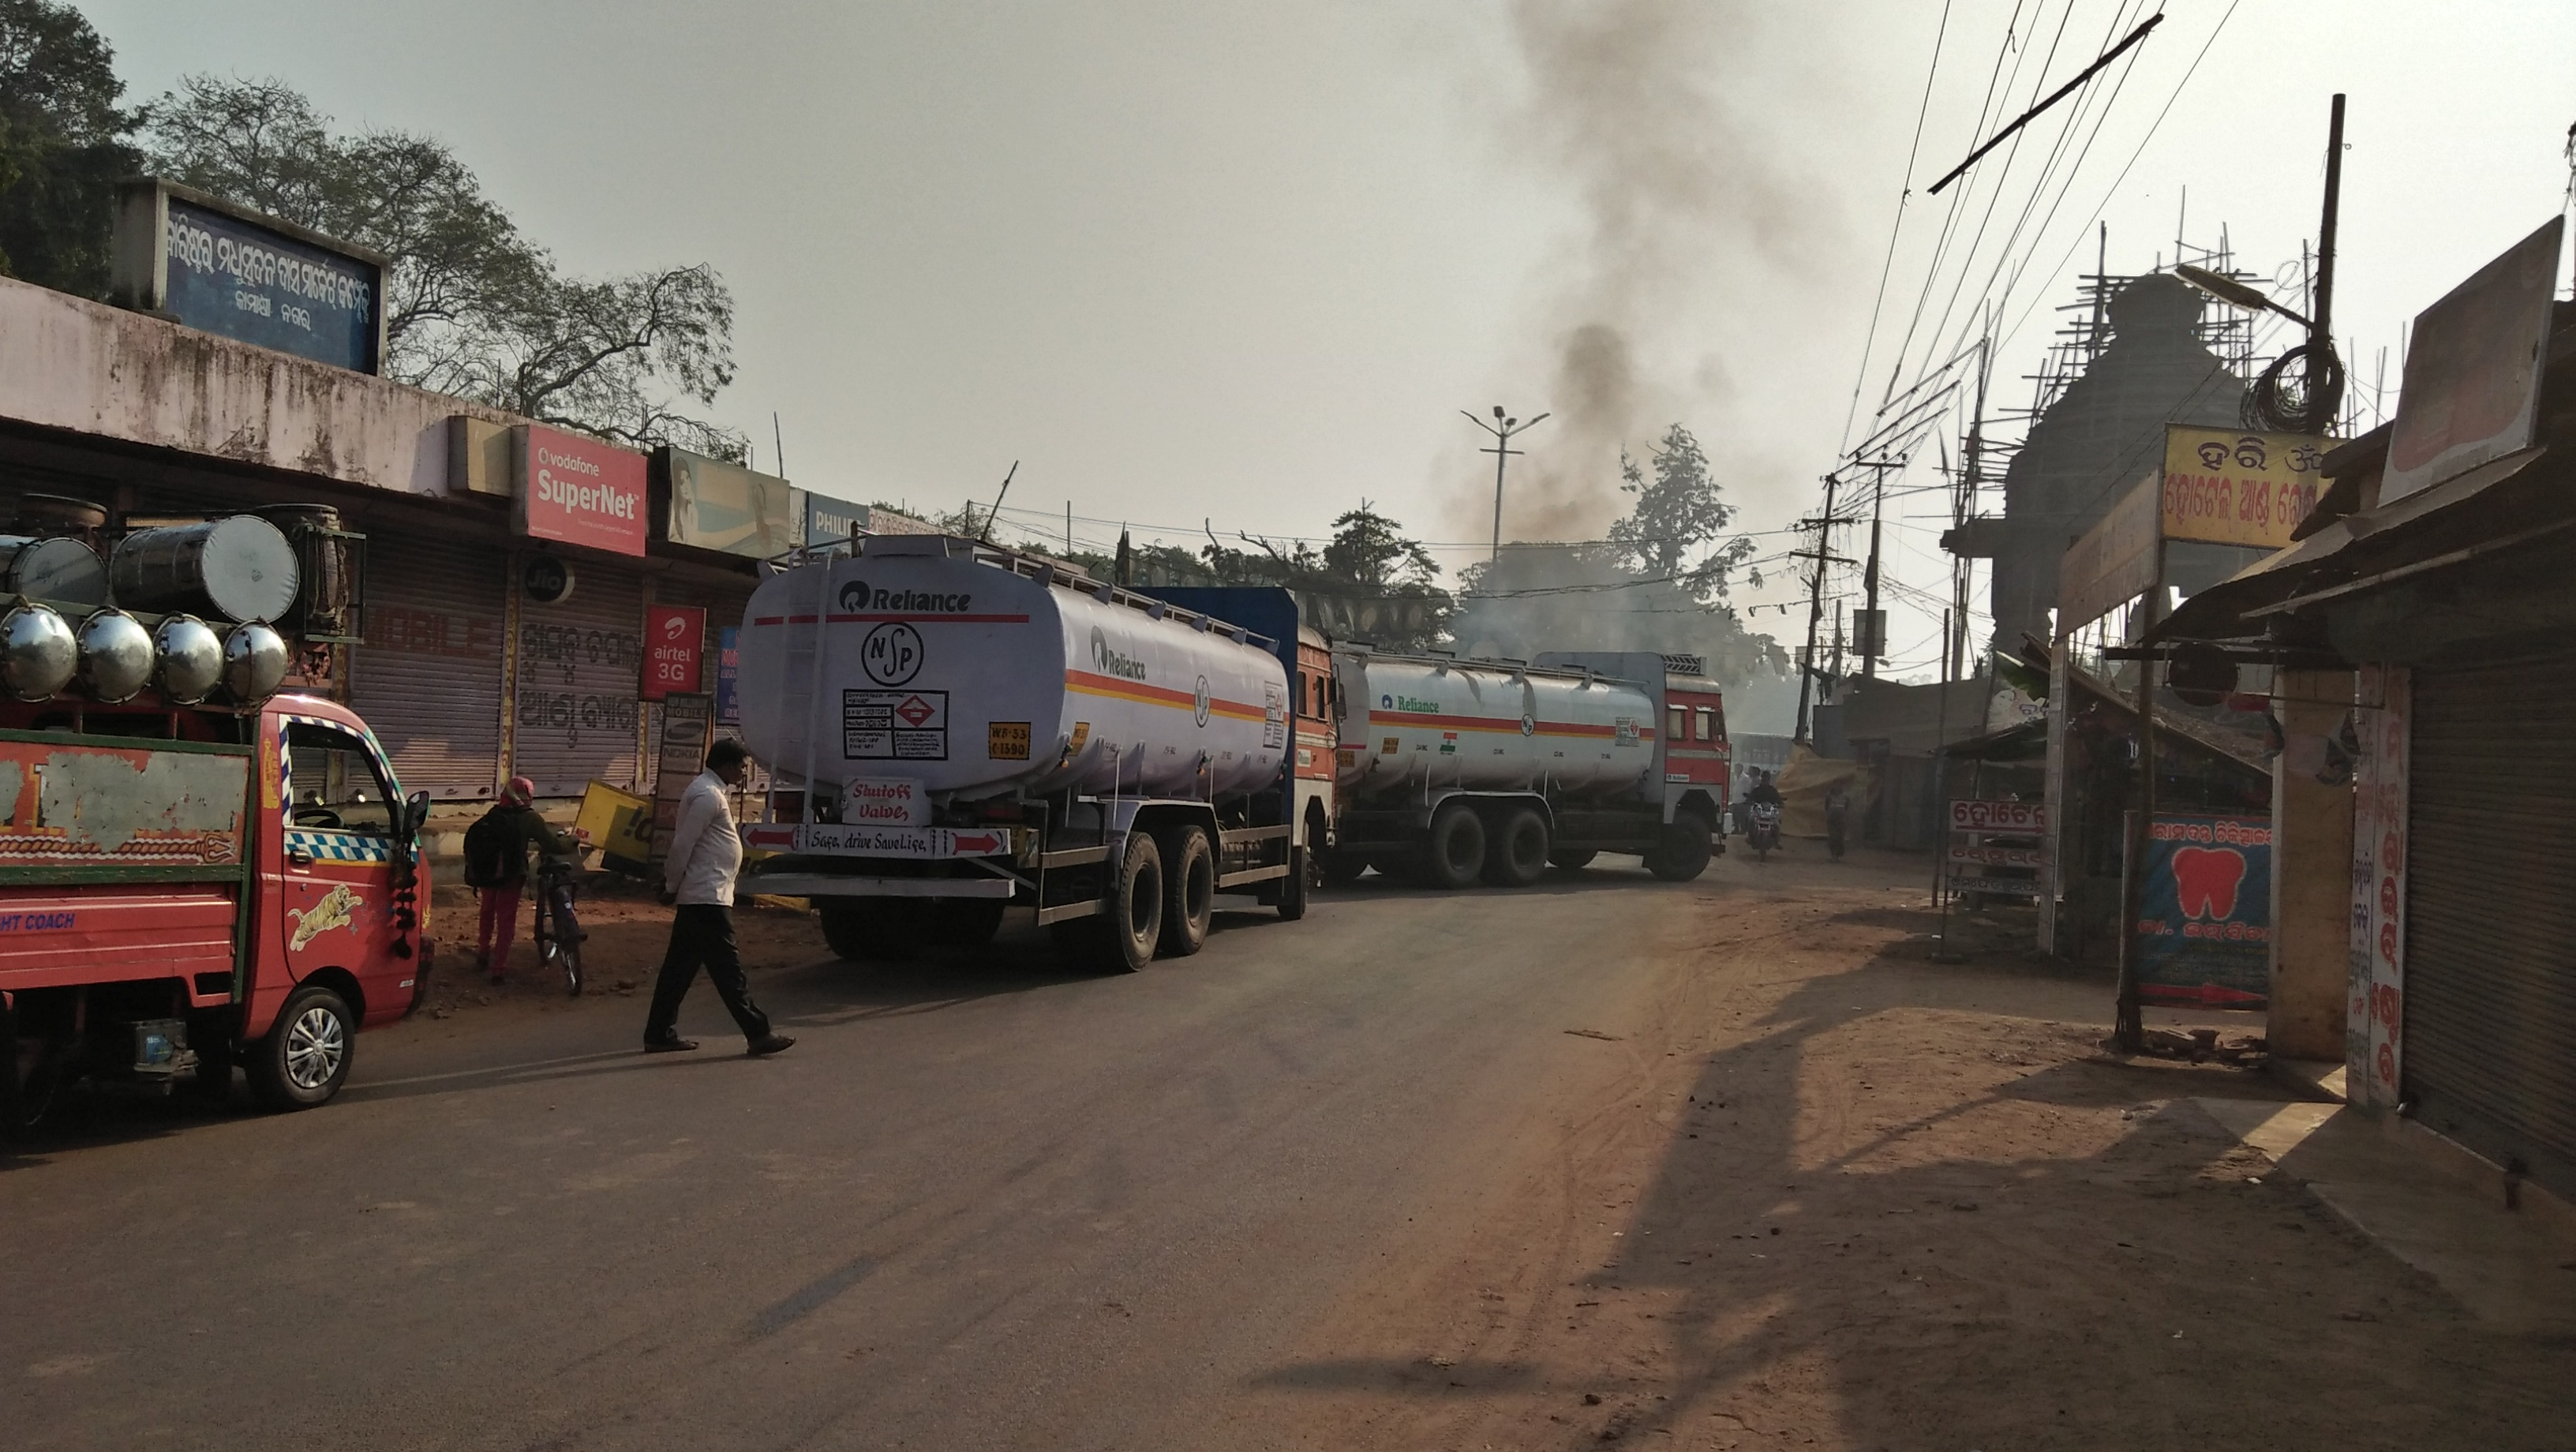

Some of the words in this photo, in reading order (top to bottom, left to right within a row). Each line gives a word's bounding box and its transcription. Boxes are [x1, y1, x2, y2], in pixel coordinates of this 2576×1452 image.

[163, 208, 220, 278] ବାରିଷ୍ଟର
[211, 234, 304, 298] ମଧୁସୂଦନ ଦାସ
[231, 286, 279, 321] କାମାକ୍ଷା
[275, 301, 316, 333] ନଗର
[549, 447, 602, 479] vodafone
[2194, 428, 2271, 476] ହରି
[533, 465, 641, 523] SuperNet
[2159, 466, 2237, 526] ହୋଟେଲ
[2234, 471, 2277, 540] ଆଣ୍ତ
[872, 585, 973, 617] Reliance
[356, 601, 498, 664] MOBILE
[651, 642, 695, 664] airtel
[1086, 619, 1151, 684] Reliance
[654, 657, 688, 684] 3G
[517, 687, 642, 750] ଆଣୂ ବ୍ଯାଗ
[1394, 692, 1443, 713] Reliance
[848, 776, 915, 802] Shutoff
[857, 801, 910, 823] Values
[1951, 799, 2039, 829] ହୋଟେ
[809, 826, 841, 851] Safe,
[842, 825, 874, 854] drive
[868, 828, 931, 856] Save Life,
[2144, 818, 2215, 846] ରାମଦନ୍ତ
[2207, 817, 2278, 851] ଚିକିତ୍ସାଳ
[20, 900, 80, 932] COACH
[2181, 915, 2271, 946] ଇପ୍ ସିଚା